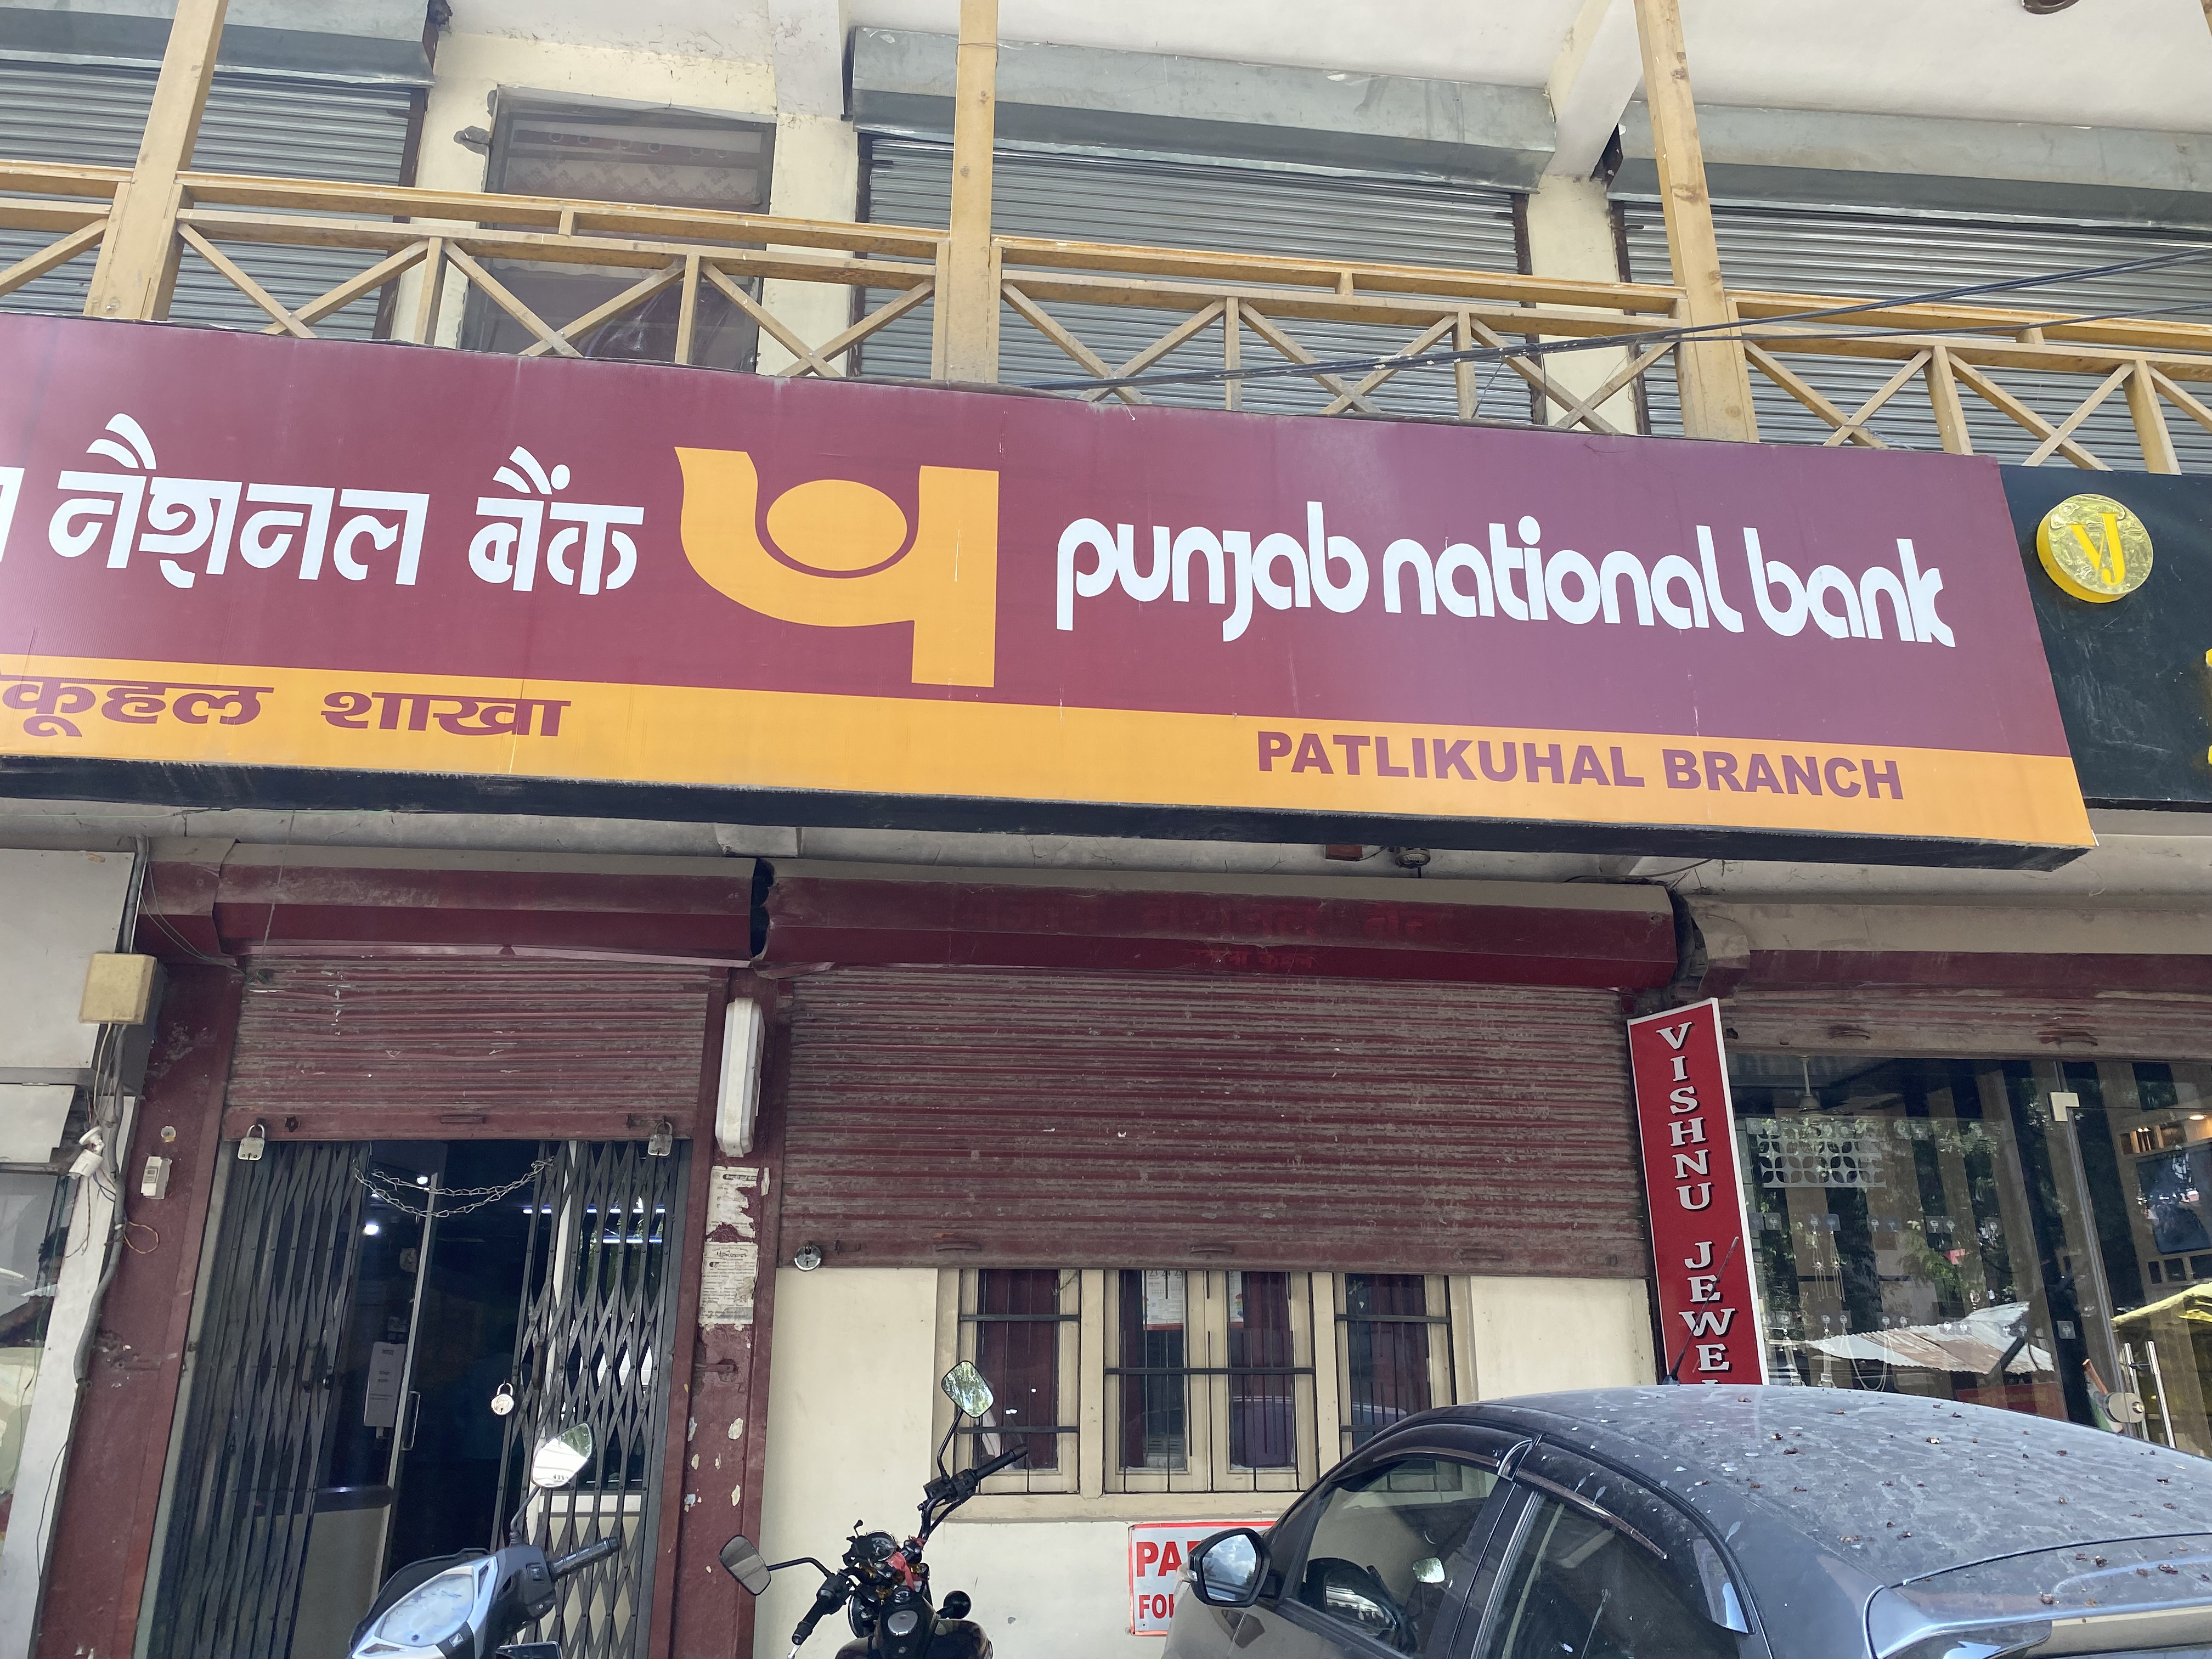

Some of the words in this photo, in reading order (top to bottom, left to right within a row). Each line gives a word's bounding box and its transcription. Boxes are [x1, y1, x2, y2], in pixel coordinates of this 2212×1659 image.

[39, 410, 440, 594] नैशनल
[453, 439, 650, 601] बैंक
[1048, 484, 1372, 645] punjab
[1371, 510, 1747, 640] national
[1738, 519, 1961, 653] bank
[0, 667, 278, 743] कूहल
[318, 675, 575, 741] शाखा
[1253, 726, 1648, 794] PATLIKUHAL
[1655, 743, 1906, 804] BRANCH
[1649, 1019, 1717, 1216] VISHNU
[1674, 1237, 1737, 1376] JEWE